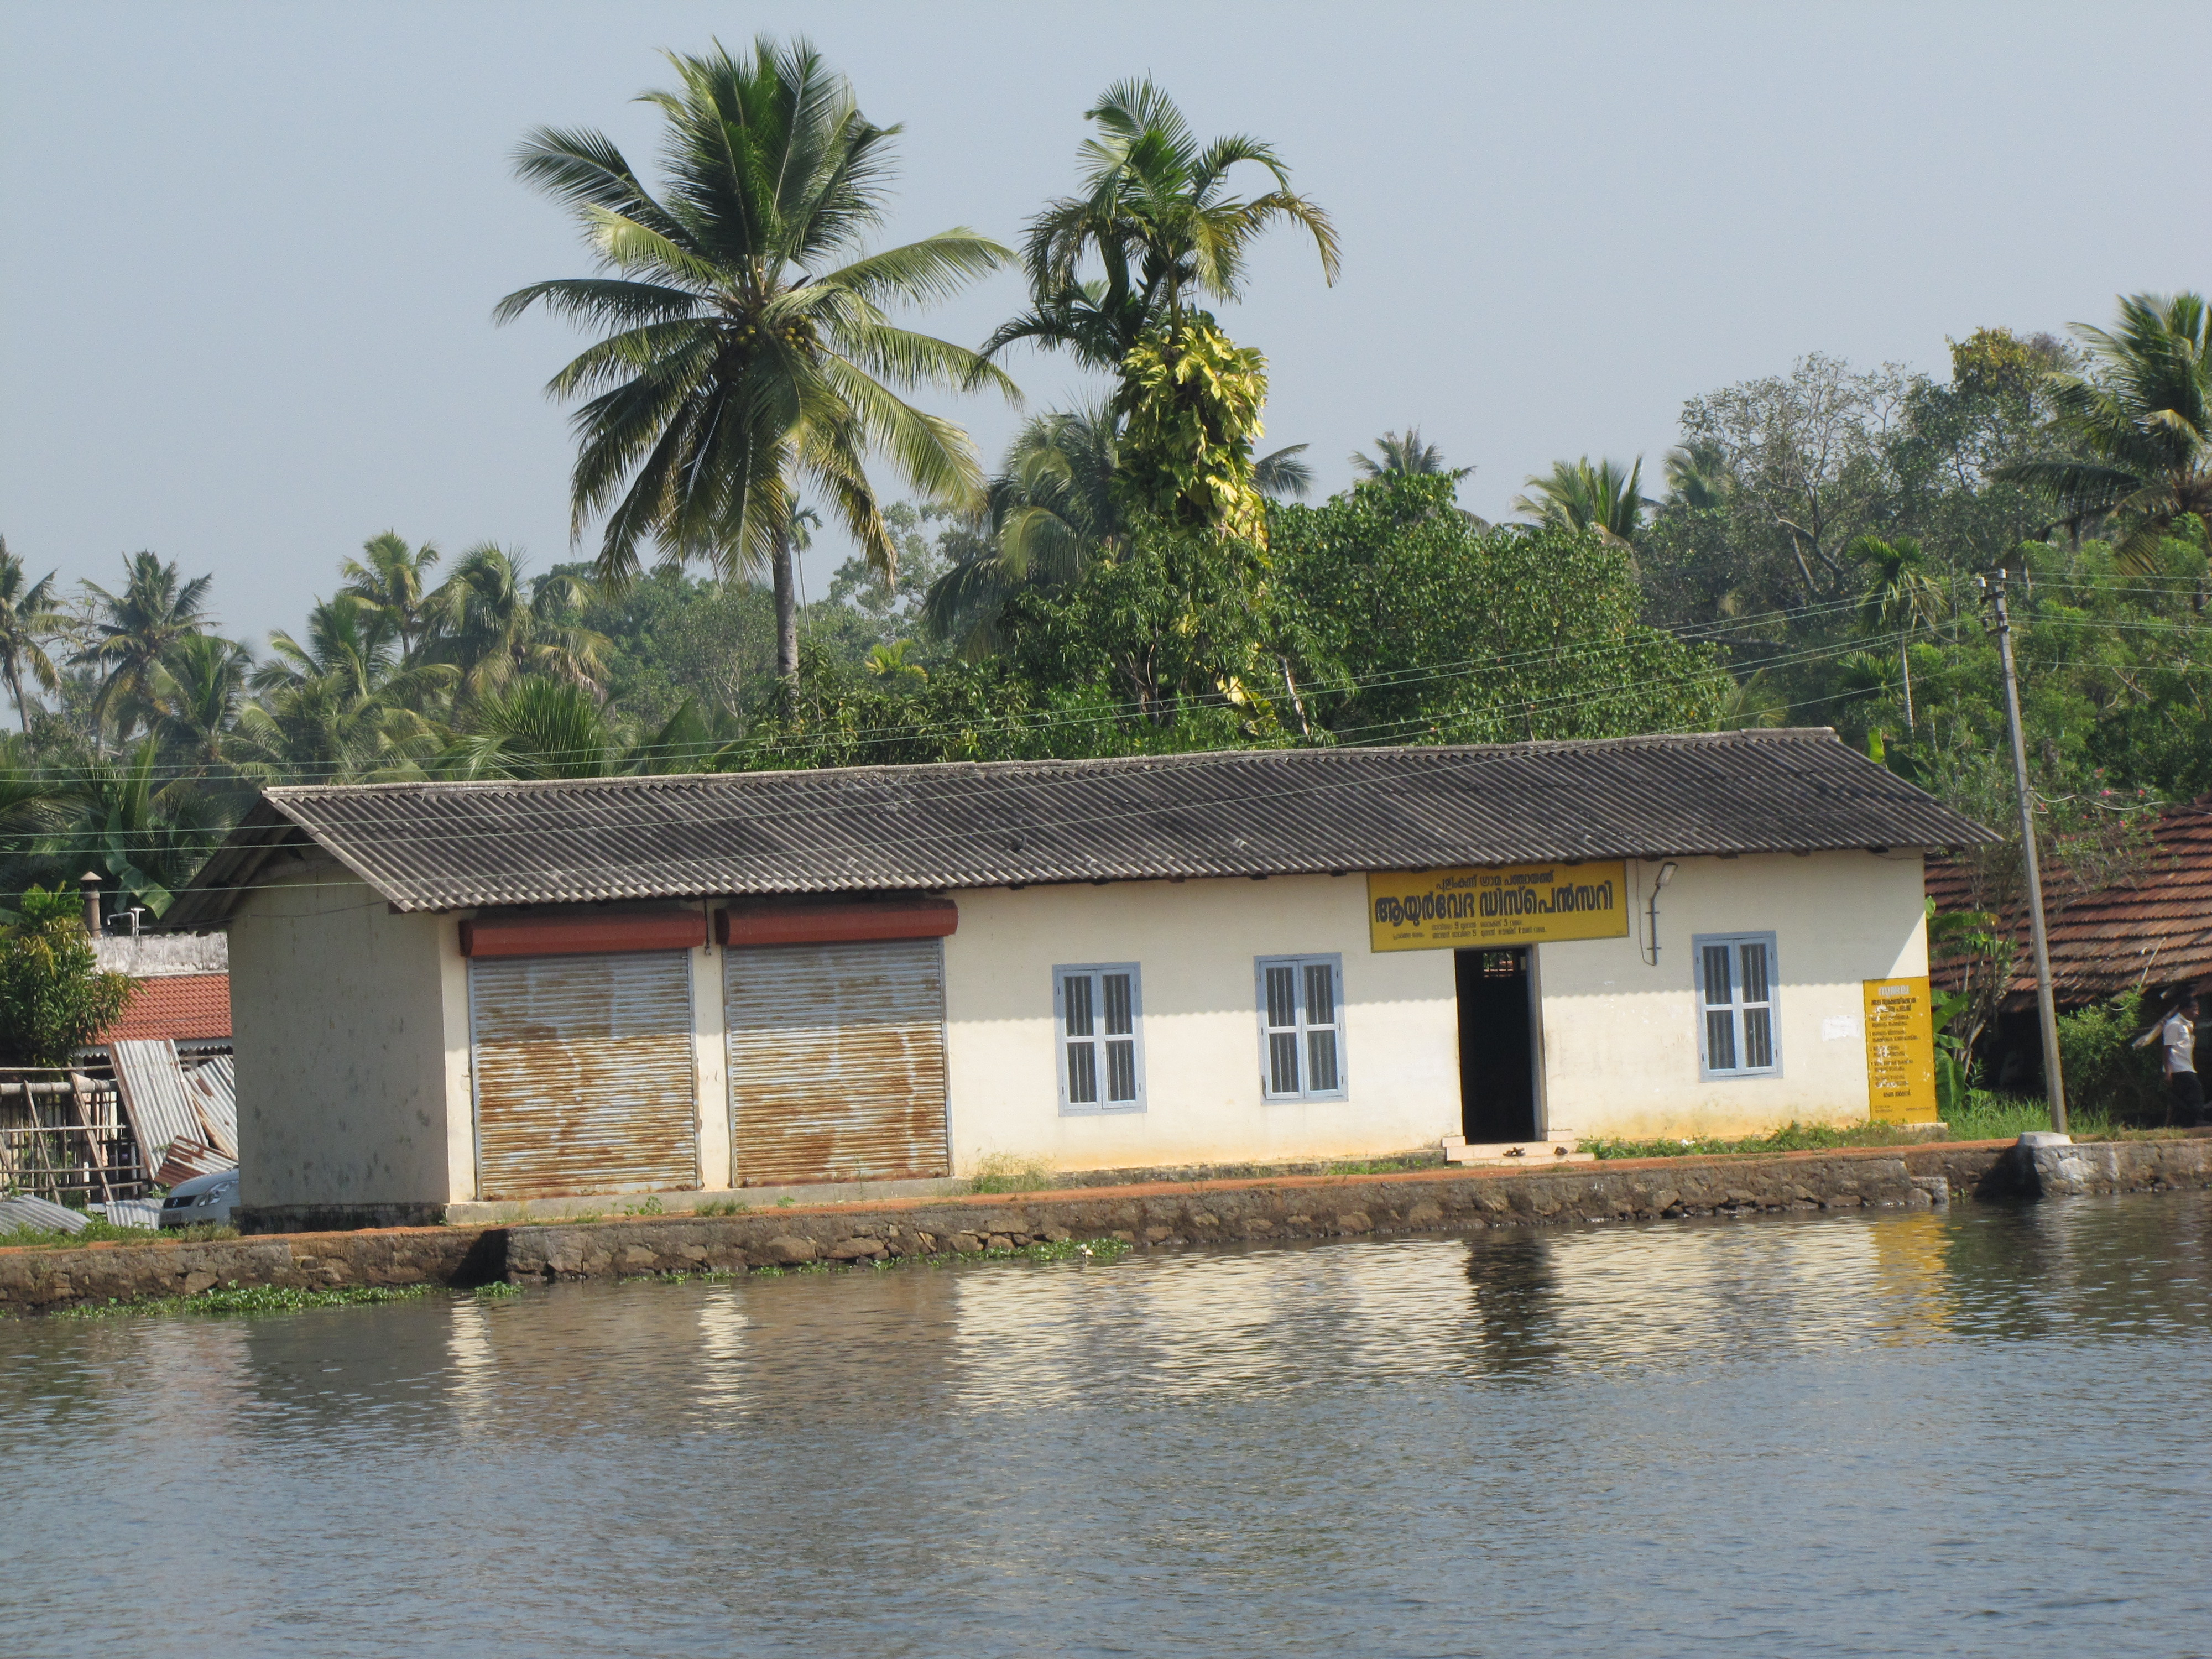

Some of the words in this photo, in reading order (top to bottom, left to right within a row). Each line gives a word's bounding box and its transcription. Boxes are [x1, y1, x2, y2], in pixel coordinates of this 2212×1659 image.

[1432, 871, 1479, 894] പുളിംകുന്ന്
[1478, 872, 1505, 891] ഗ്രാമ
[1503, 868, 1558, 889] പഞ്ചായത്ത്
[1371, 885, 1478, 929] ആയുർവേദ
[1477, 878, 1615, 919] ഡിസ്പെൻസറി
[1458, 920, 1478, 932] മുന്നു
[1876, 980, 1912, 1001] സുജല